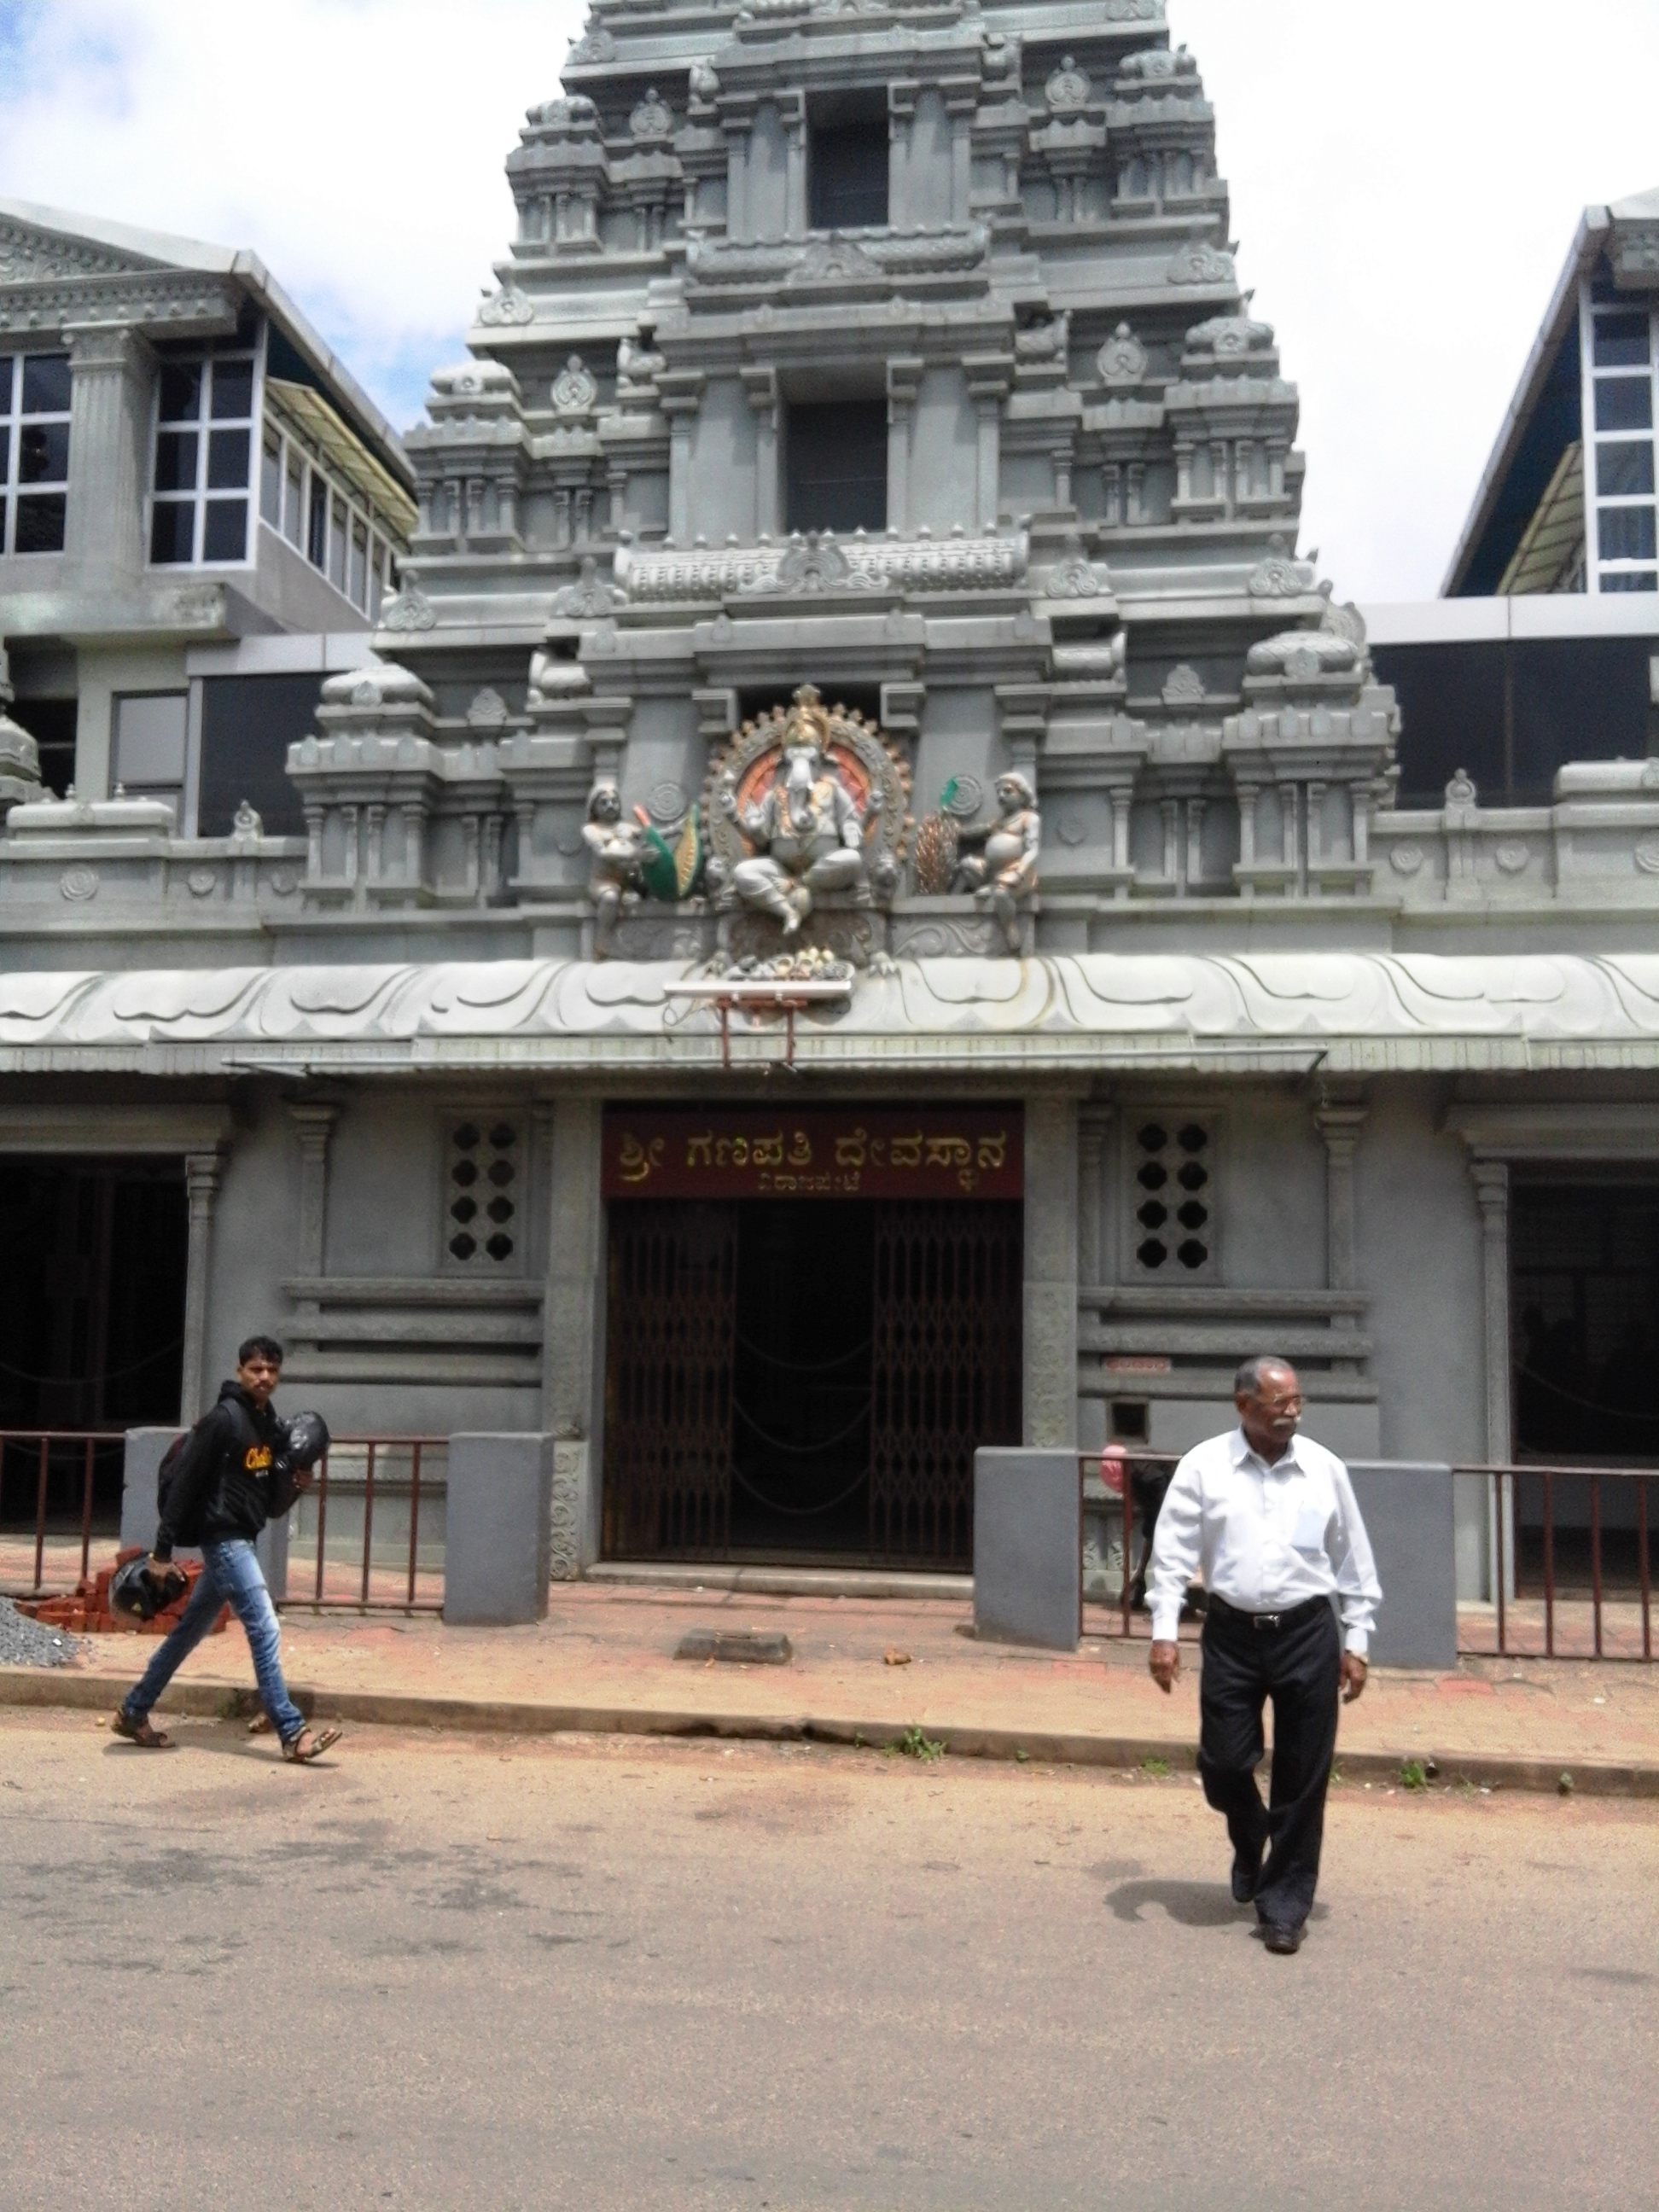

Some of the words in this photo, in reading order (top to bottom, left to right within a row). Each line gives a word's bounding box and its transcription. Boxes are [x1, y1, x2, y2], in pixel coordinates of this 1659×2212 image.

[614, 1125, 667, 1193] ಶ್ರೀ
[680, 1121, 821, 1170] ಗಣಪತಿ
[754, 1160, 868, 1199] ಎರಾಜಪೇಟಿ
[829, 1123, 1018, 1194] ದೇವಸ್ಥಾನ